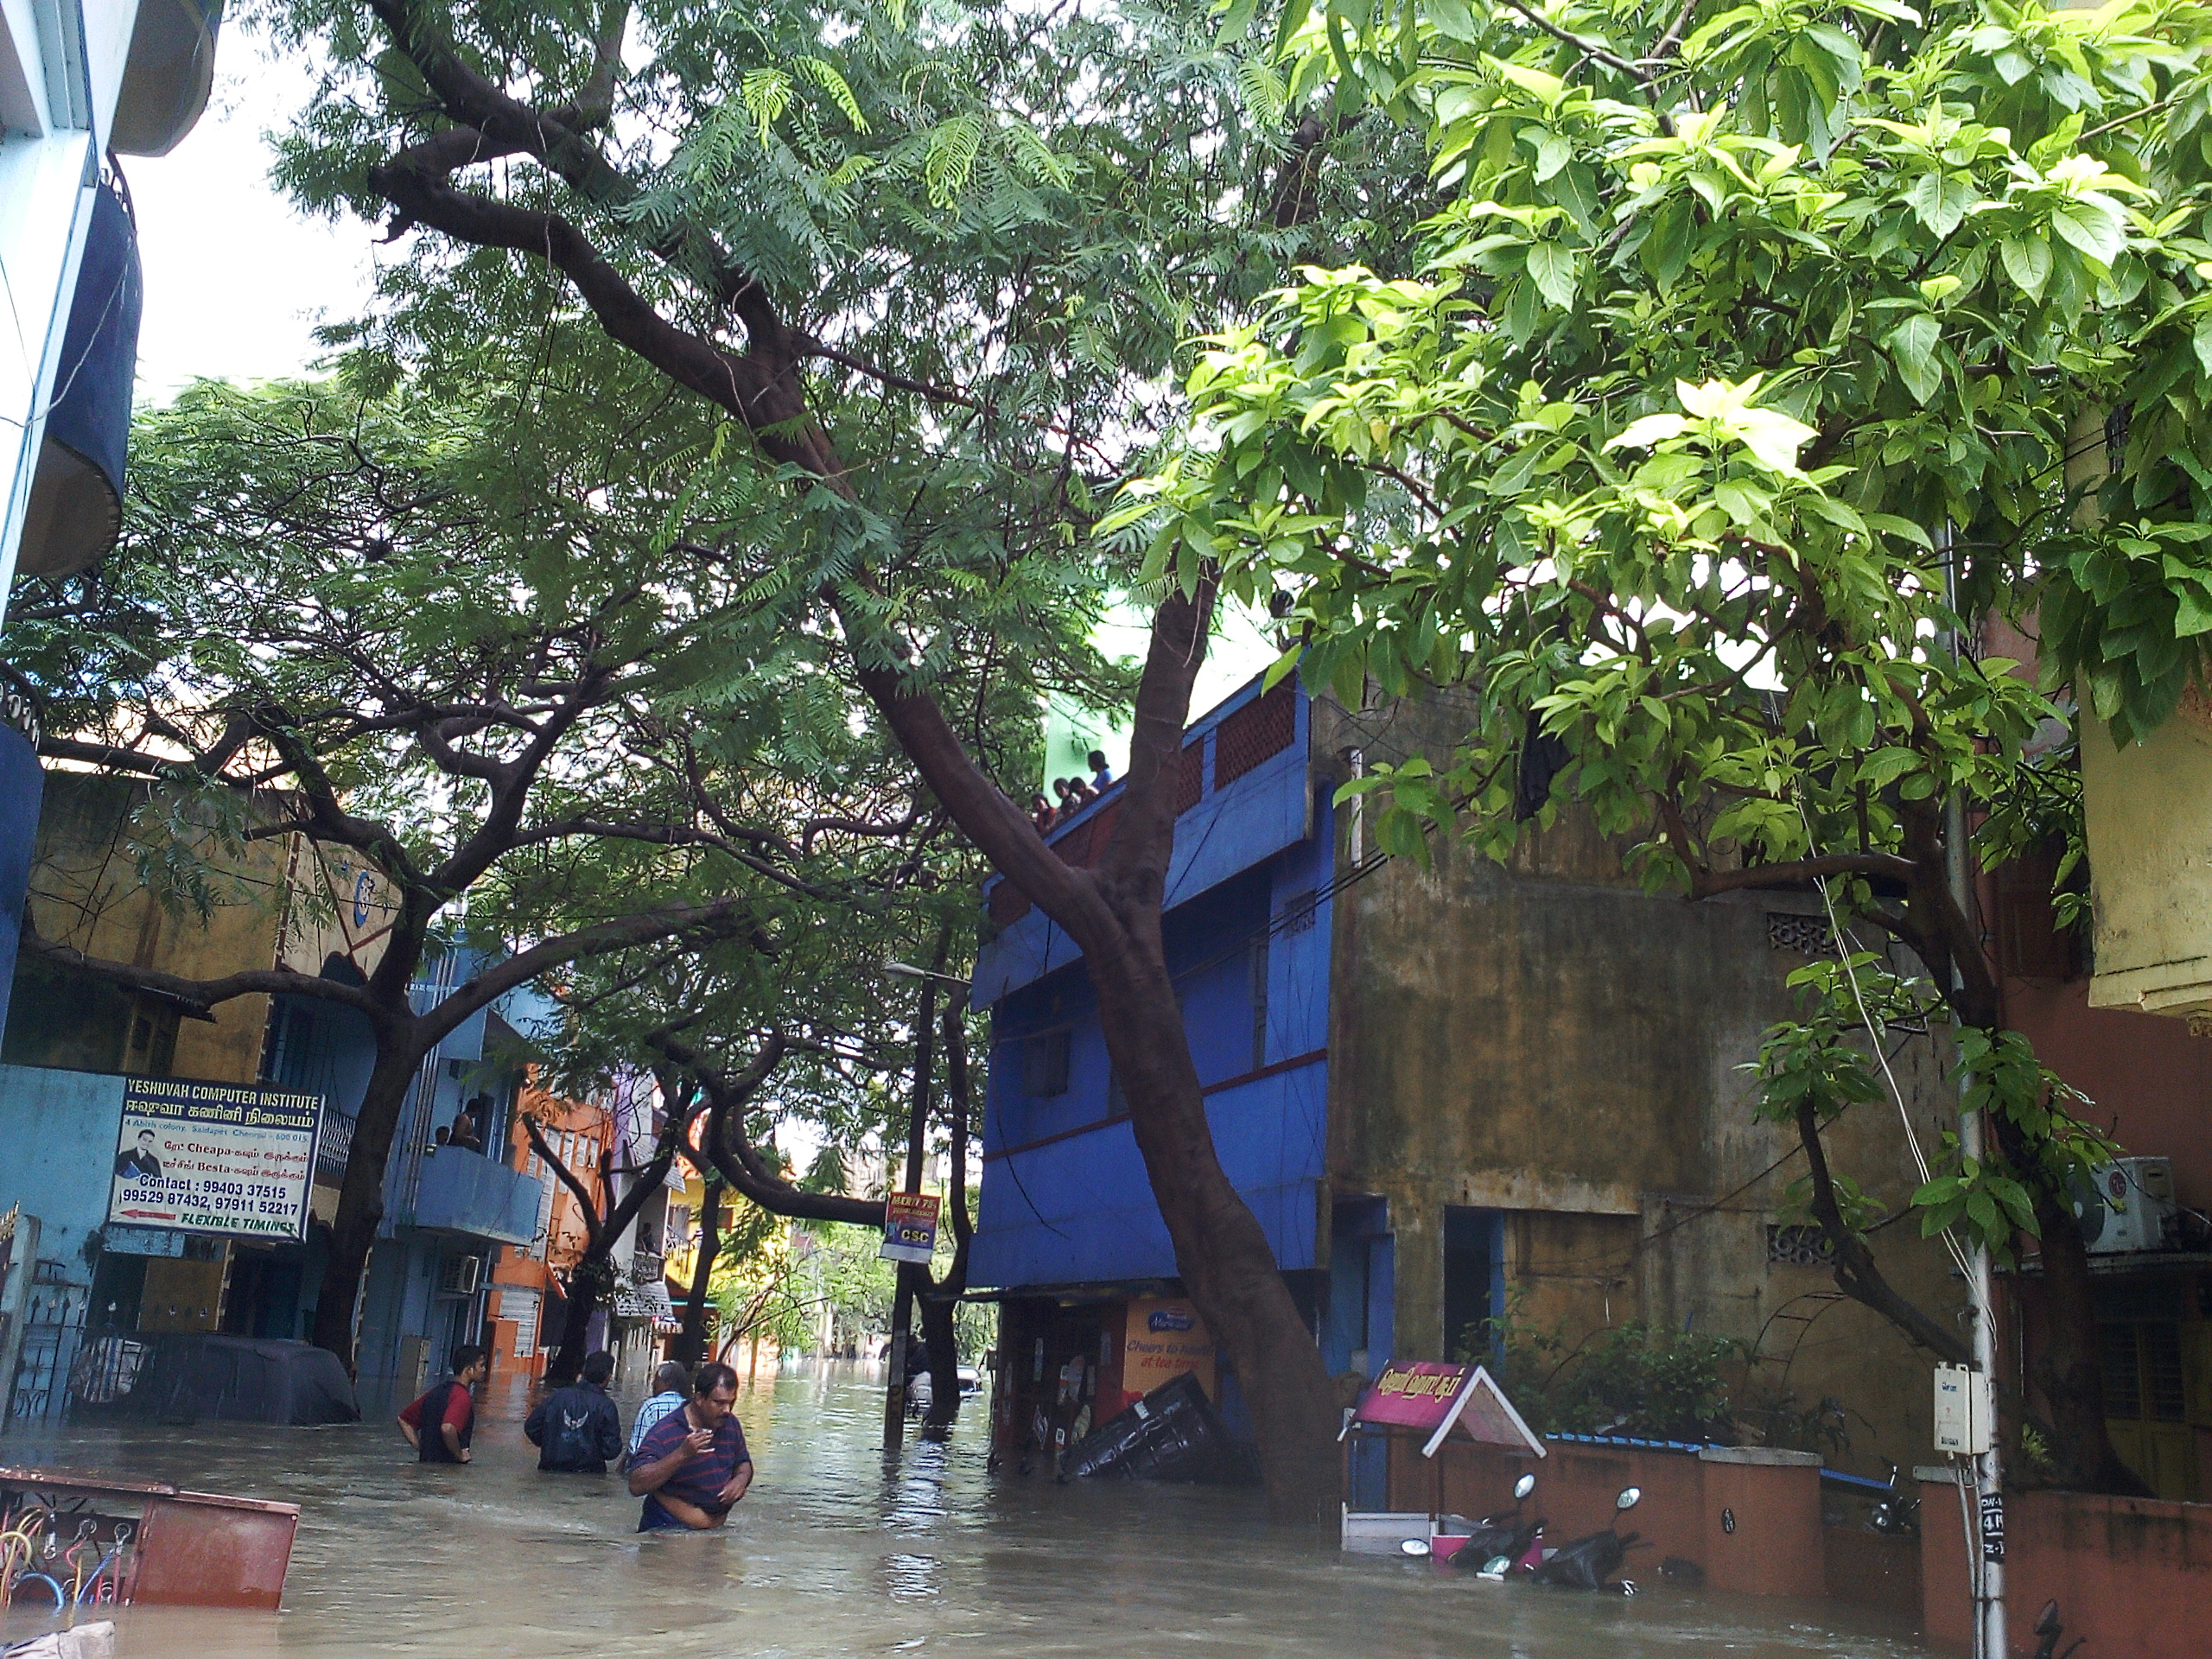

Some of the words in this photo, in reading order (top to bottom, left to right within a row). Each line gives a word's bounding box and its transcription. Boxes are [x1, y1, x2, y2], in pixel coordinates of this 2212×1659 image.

[120, 1094, 188, 1121] ஈஷுவா
[125, 1074, 194, 1101] YESHUVAH
[182, 1098, 246, 1125] கணினி
[188, 1080, 262, 1109] COMPUTER
[241, 1100, 319, 1133] நிலையம்
[255, 1088, 321, 1112] INSTITUTE
[257, 1144, 313, 1164] இறக்கம்
[132, 1165, 194, 1194] Contact
[120, 1184, 212, 1216] 9952987432,
[178, 1204, 244, 1232] FLEXIBLE
[200, 1176, 292, 1204] 9940337515
[212, 1192, 303, 1217] 9791152217
[238, 1214, 300, 1239] TIMINGS.